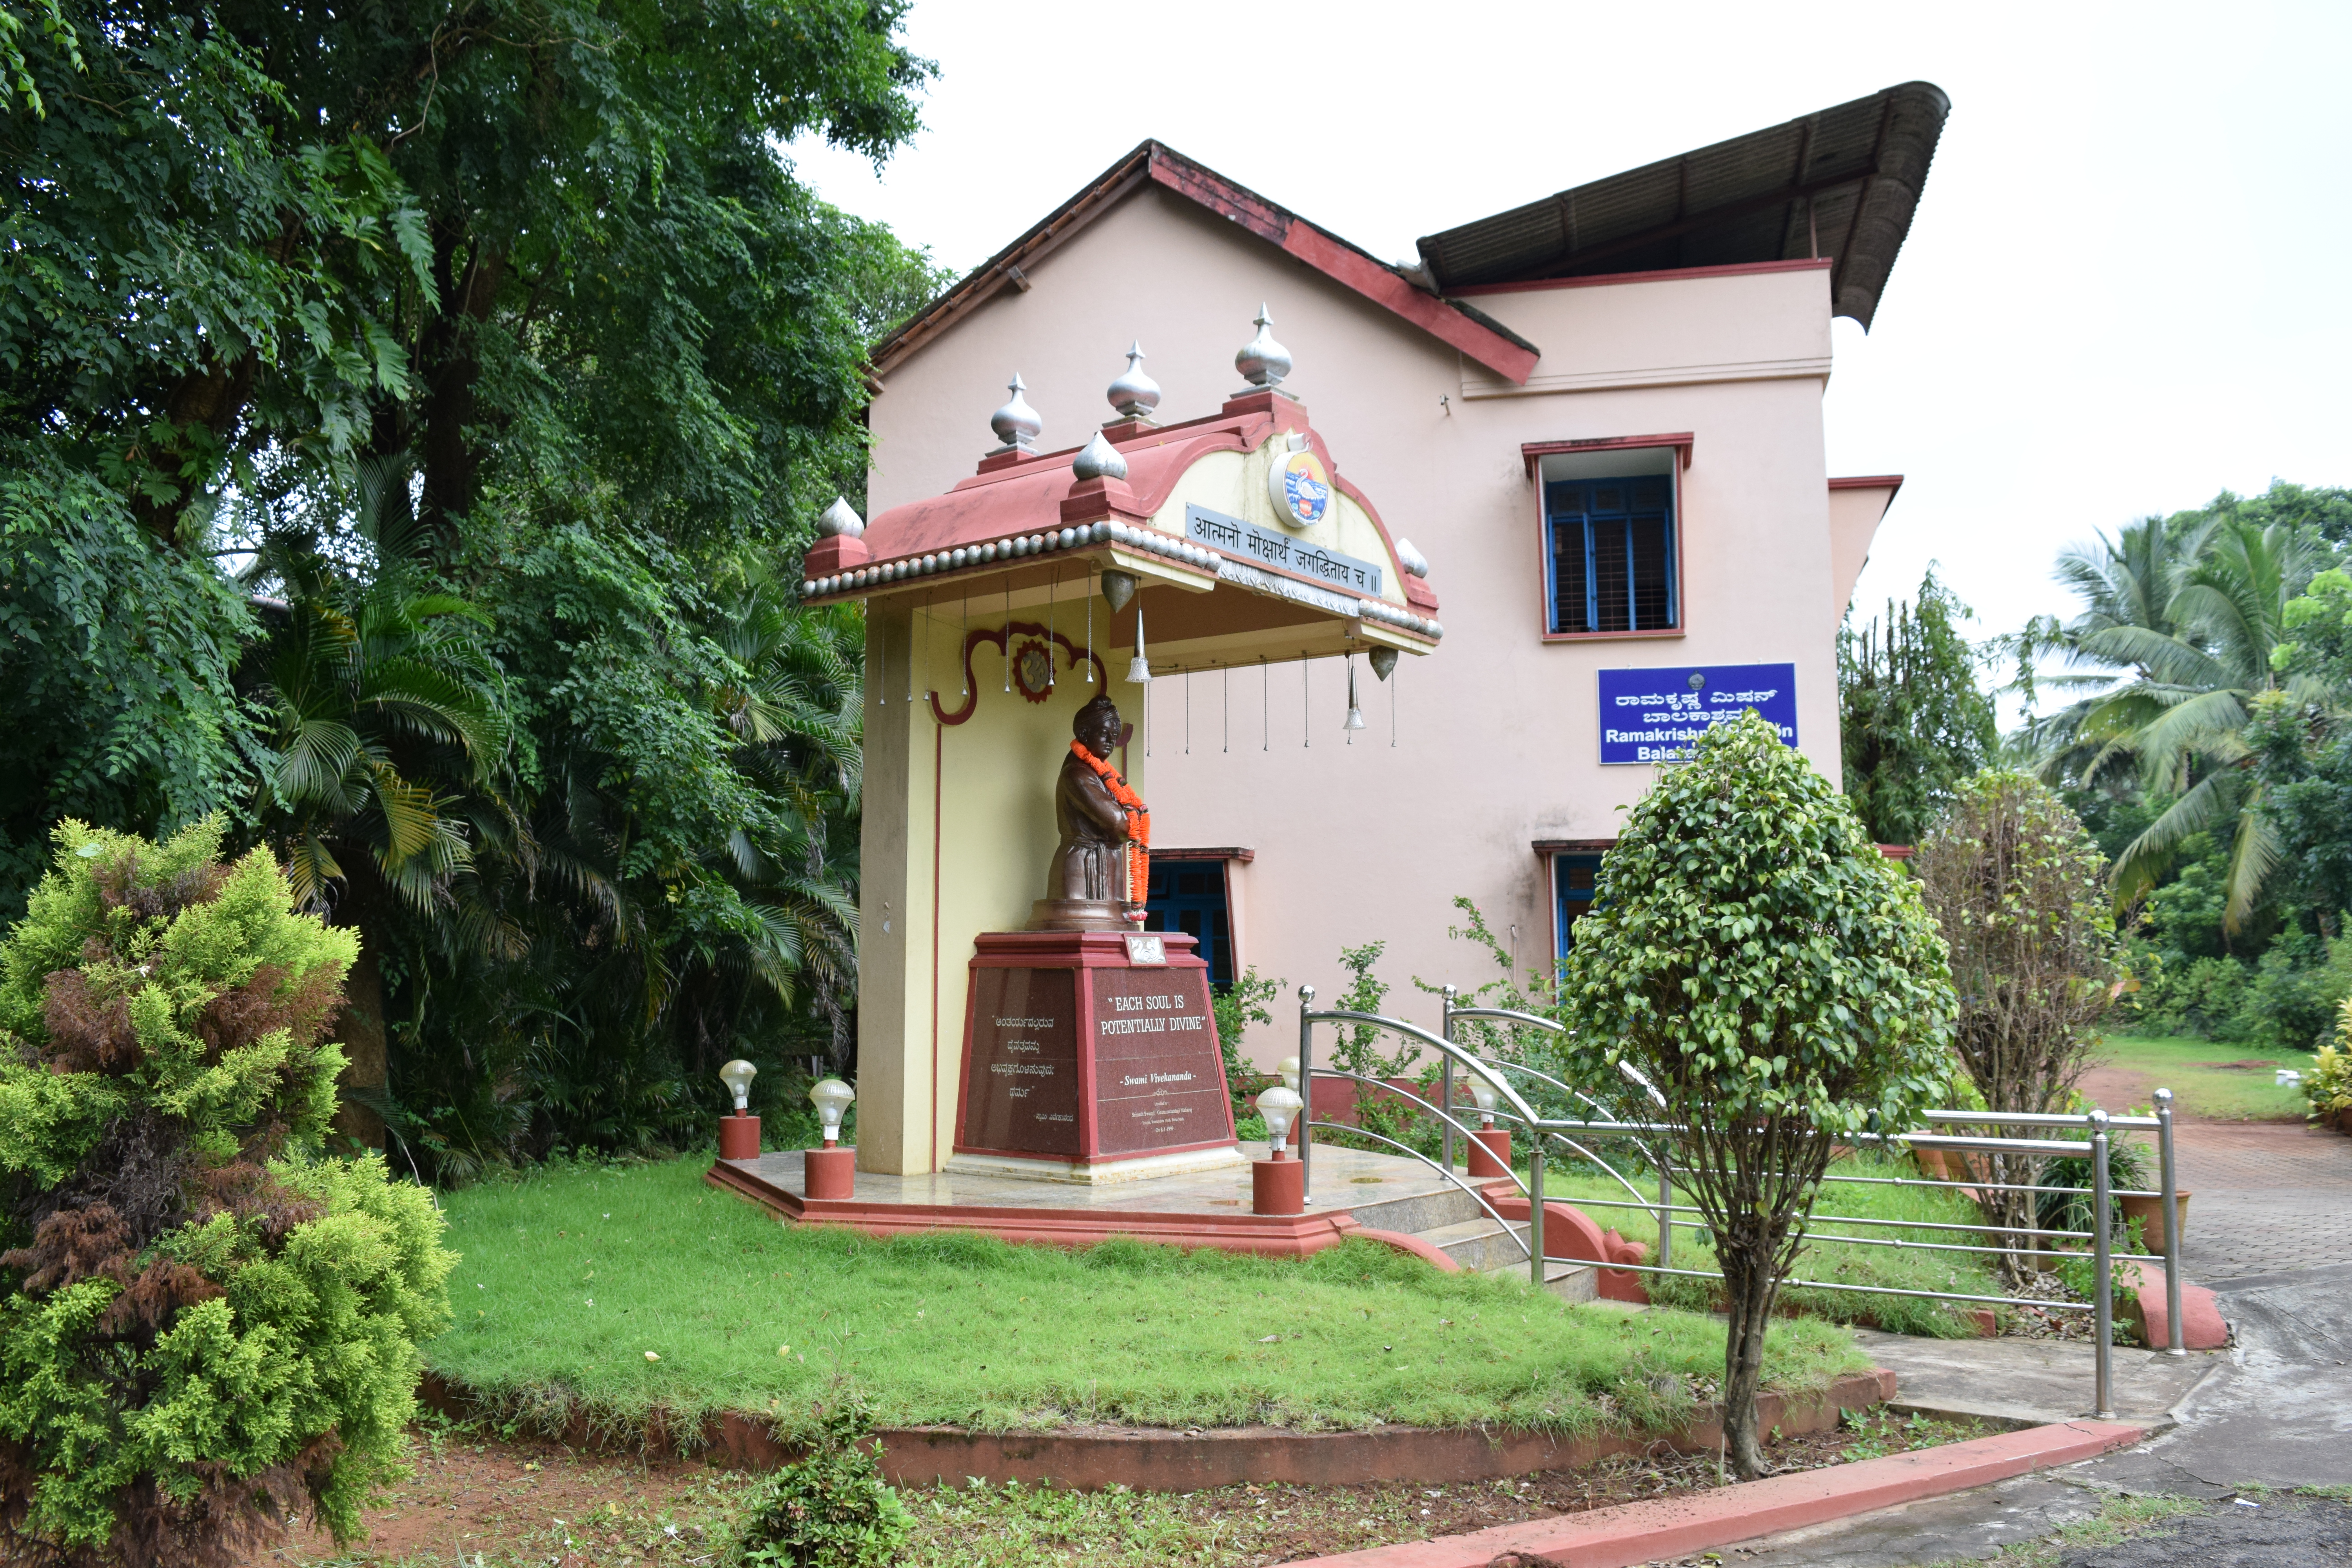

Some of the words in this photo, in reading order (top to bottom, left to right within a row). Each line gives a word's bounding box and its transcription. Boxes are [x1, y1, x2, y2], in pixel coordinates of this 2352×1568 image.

[1193, 514, 1243, 550] आत्मनॊ
[1246, 524, 1293, 564] मोक्षार्थं
[1292, 546, 1350, 584] जगद्धिताय
[1354, 567, 1366, 588] च
[1613, 689, 1703, 712] ರಾಮಕೃಷ್ಣ
[1705, 686, 1778, 704] ಮಿಷನ್
[1640, 707, 1745, 726] ಬಾಲಕಾಶ್ರವ
[1604, 724, 1713, 744] Ramakrishn
[1114, 995, 1145, 1014] EACH
[1143, 993, 1173, 1012] SOUL
[1172, 994, 1186, 1011] IS
[994, 1015, 1056, 1032] ಅಂತರ್ಯದಲ್ಲಿರುವ
[1098, 1015, 1167, 1037] POTENTIALLY
[1169, 1016, 1203, 1033] DIVINE
[1006, 1036, 1042, 1056] ದೈವತ್ತವನ್ನು
[987, 1061, 1056, 1079] ಅಭವ್ಯಕ್ತಗೊಳಸುವುದರ
[1121, 1074, 1149, 1088] Swami
[1149, 1071, 1193, 1085] Vivekananda
[1007, 1085, 1031, 1100] ಧರ್ಮ
[1034, 1111, 1050, 1123] ಸ್ವಾಮಿ
[1047, 1111, 1075, 1123] ಎವೇಕಾನಂದ
[1129, 1110, 1145, 1120] Srinath
[1142, 1108, 1157, 1118] Swami
[1178, 1106, 1194, 1114] Maharaj
[1153, 1124, 1176, 1136] On8.1.1999